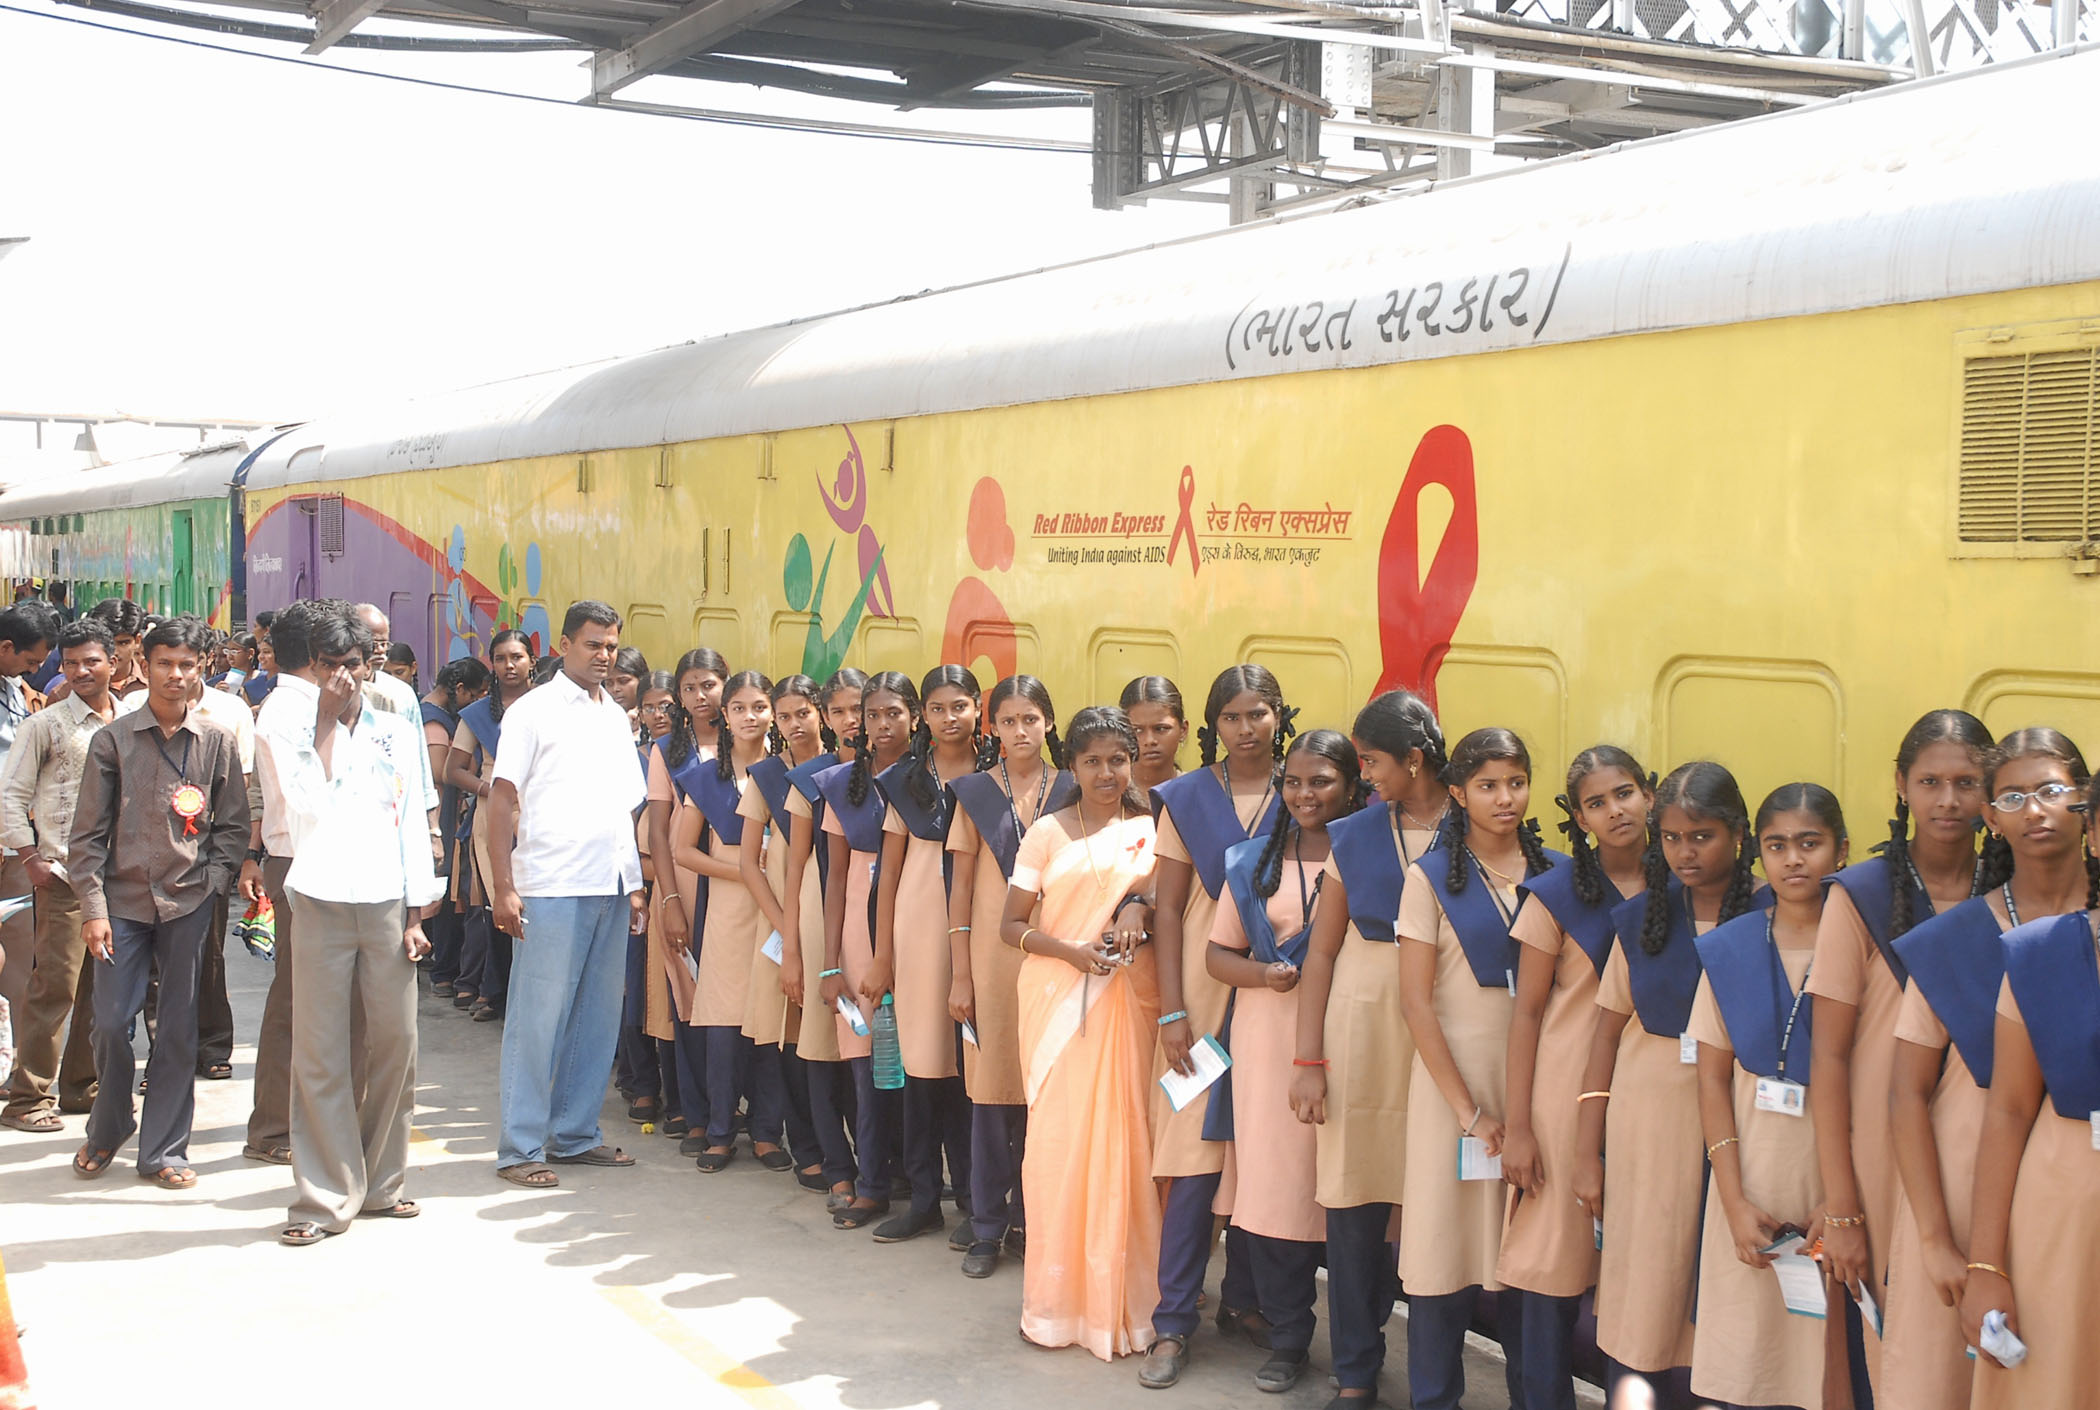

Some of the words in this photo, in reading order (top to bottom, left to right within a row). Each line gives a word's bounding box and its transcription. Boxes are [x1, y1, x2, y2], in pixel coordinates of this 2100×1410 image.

[1372, 259, 1545, 347] સરકાર
[1240, 295, 1359, 358] ભારત
[1029, 511, 1063, 537] Red
[1057, 510, 1111, 537] Ribbon
[1105, 509, 1169, 543] Express
[1201, 499, 1233, 535] रेड
[1231, 497, 1277, 538] रिबन
[1278, 498, 1352, 539] एक्सप्रेस
[1046, 545, 1082, 569] Uniting
[1075, 546, 1108, 567] India
[1101, 547, 1145, 570] against
[1140, 543, 1169, 567] AIDS
[1199, 544, 1223, 566] एड्स
[1220, 540, 1234, 562] के
[1232, 539, 1263, 565] विरुद्ध,
[1261, 544, 1289, 565] भारत
[1283, 543, 1325, 571] एकज़ुट